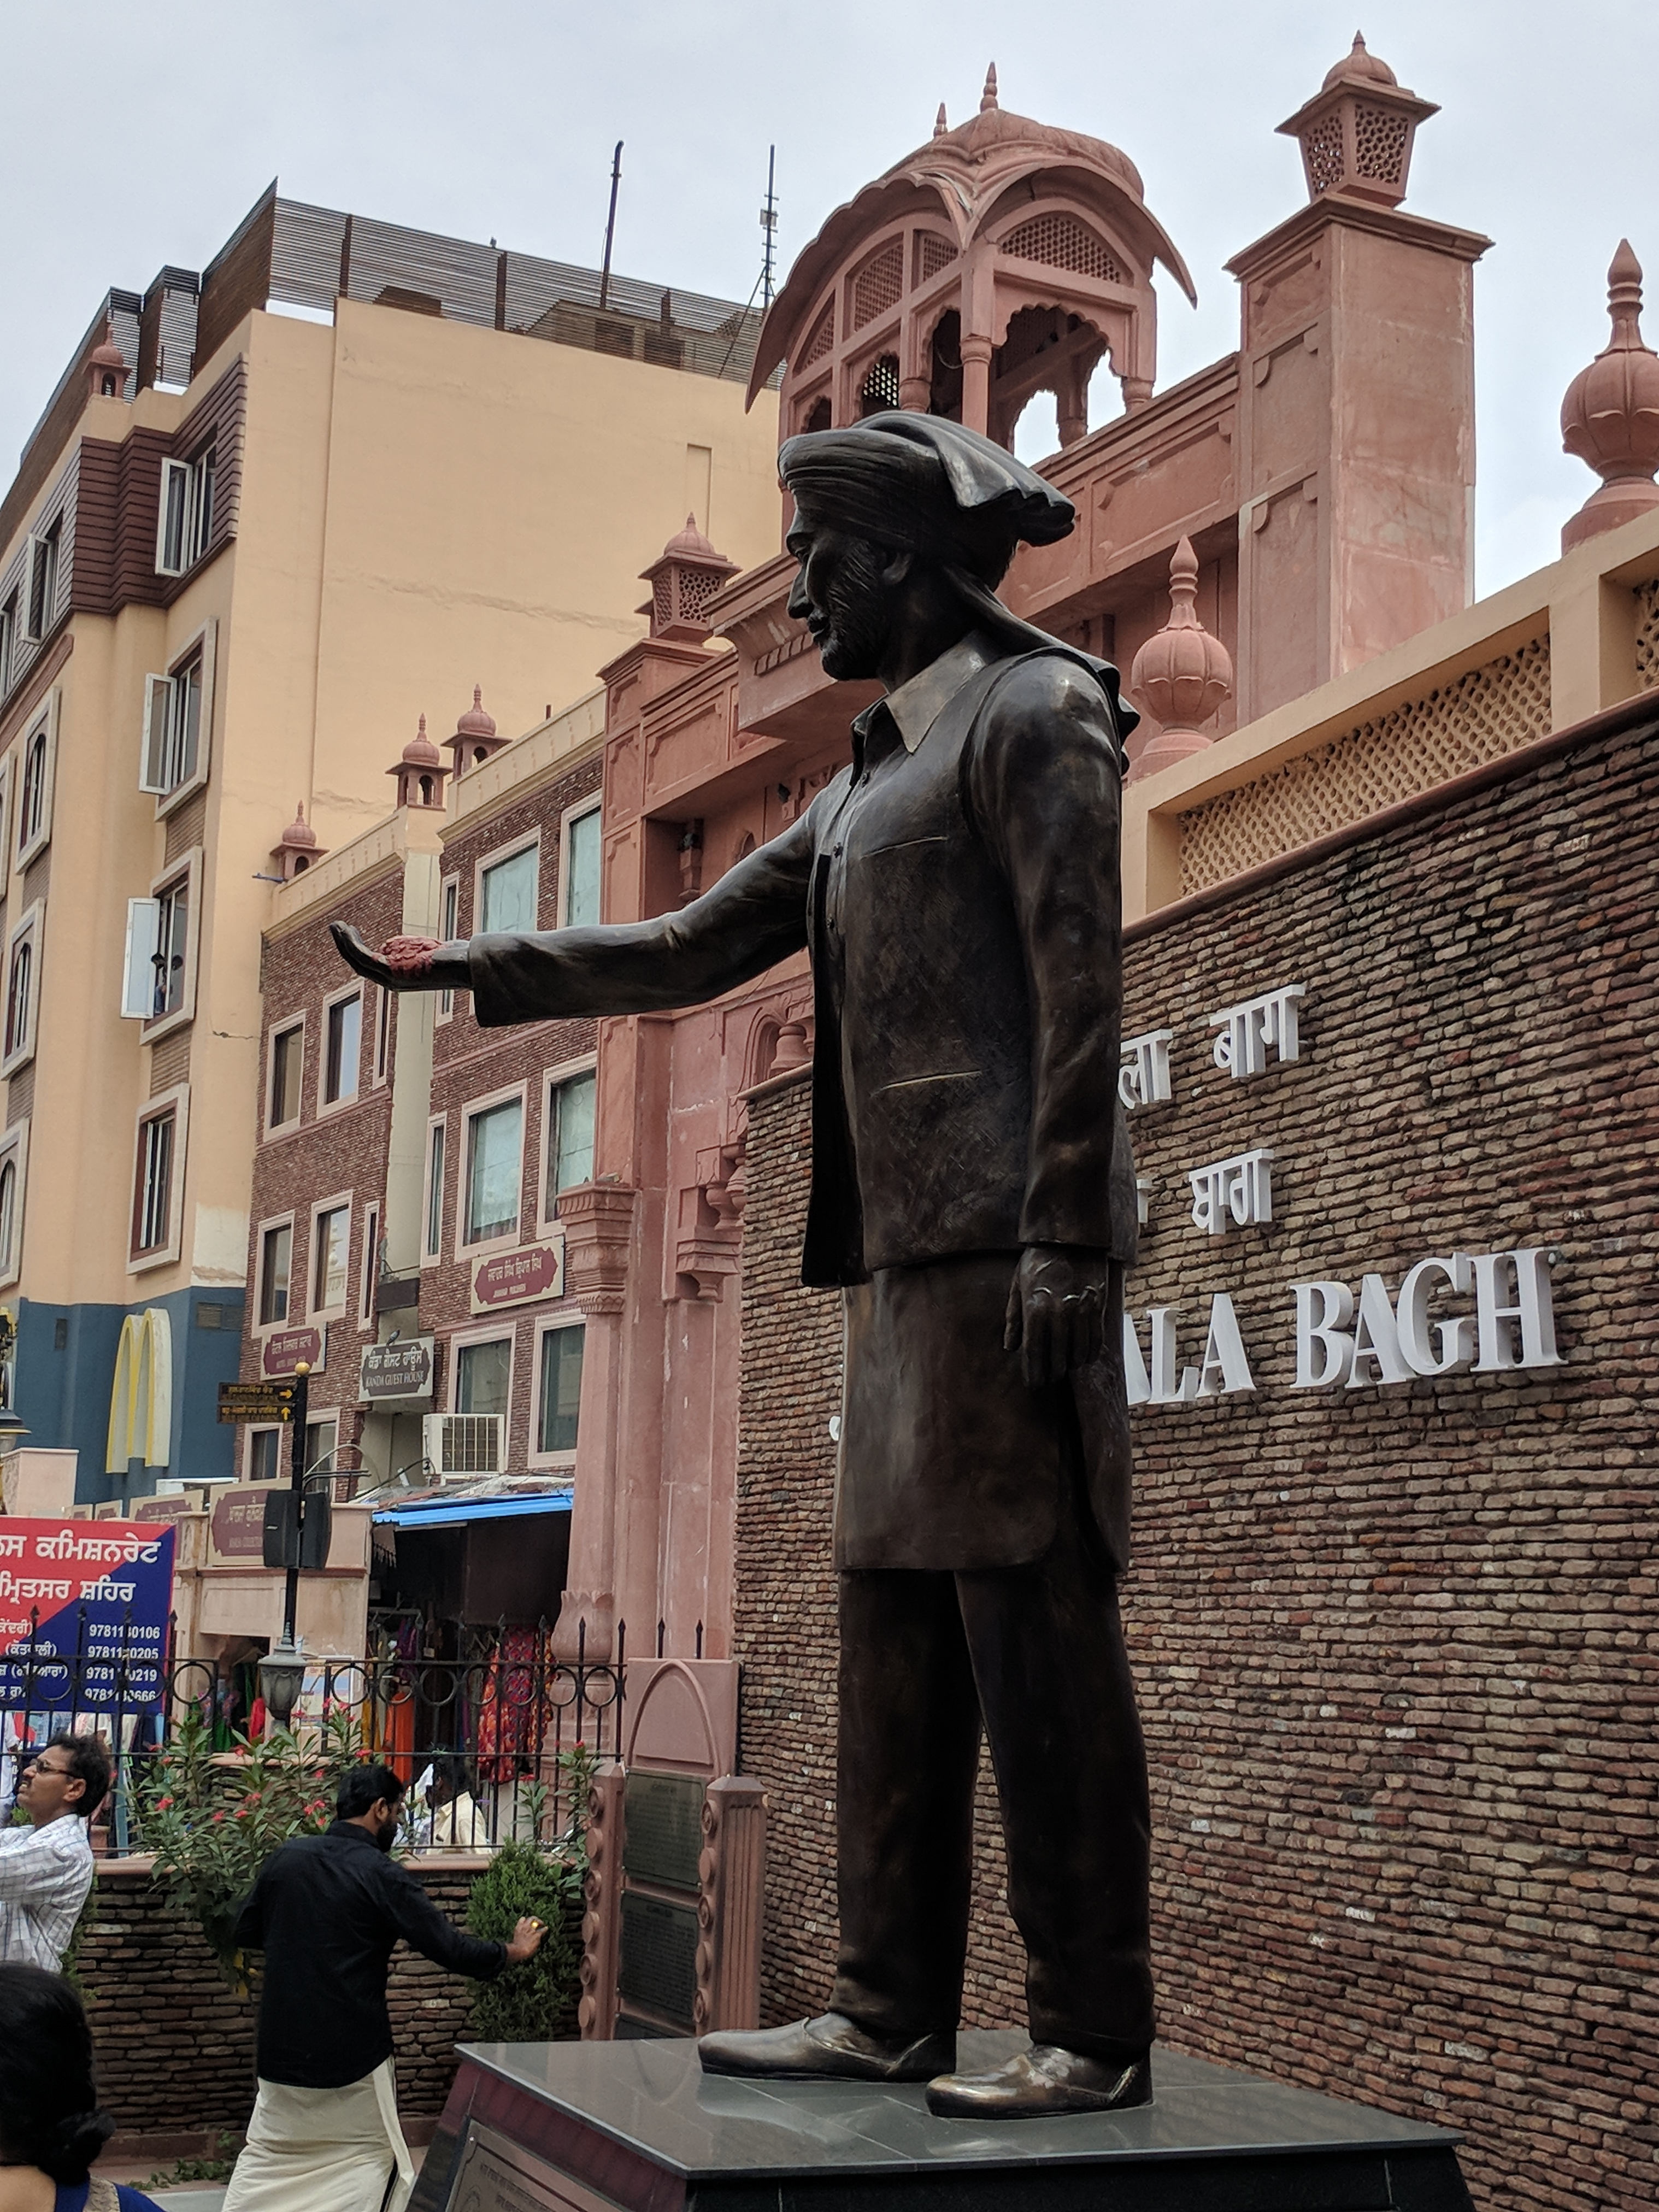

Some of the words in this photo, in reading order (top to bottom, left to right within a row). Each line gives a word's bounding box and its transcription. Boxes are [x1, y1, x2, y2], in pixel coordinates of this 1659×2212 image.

[1201, 971, 1317, 1093] बाग
[1176, 1140, 1287, 1245] ਬਾਗ
[1278, 1237, 1587, 1404] 34611
[1142, 1281, 1268, 1414] LA
[31, 1523, 166, 1570] ਕਮਿਸ਼ਨਰੇਟ
[0, 1567, 77, 1606] ਮ੍ਰਿਤਸਰ
[70, 1570, 141, 1608] ਸ਼ਹਿਰ
[84, 1620, 125, 1640] 97811
[84, 1643, 125, 1658] 97811
[125, 1623, 162, 1643] 0106
[85, 1662, 117, 1684] 9781
[134, 1664, 161, 1683] 219